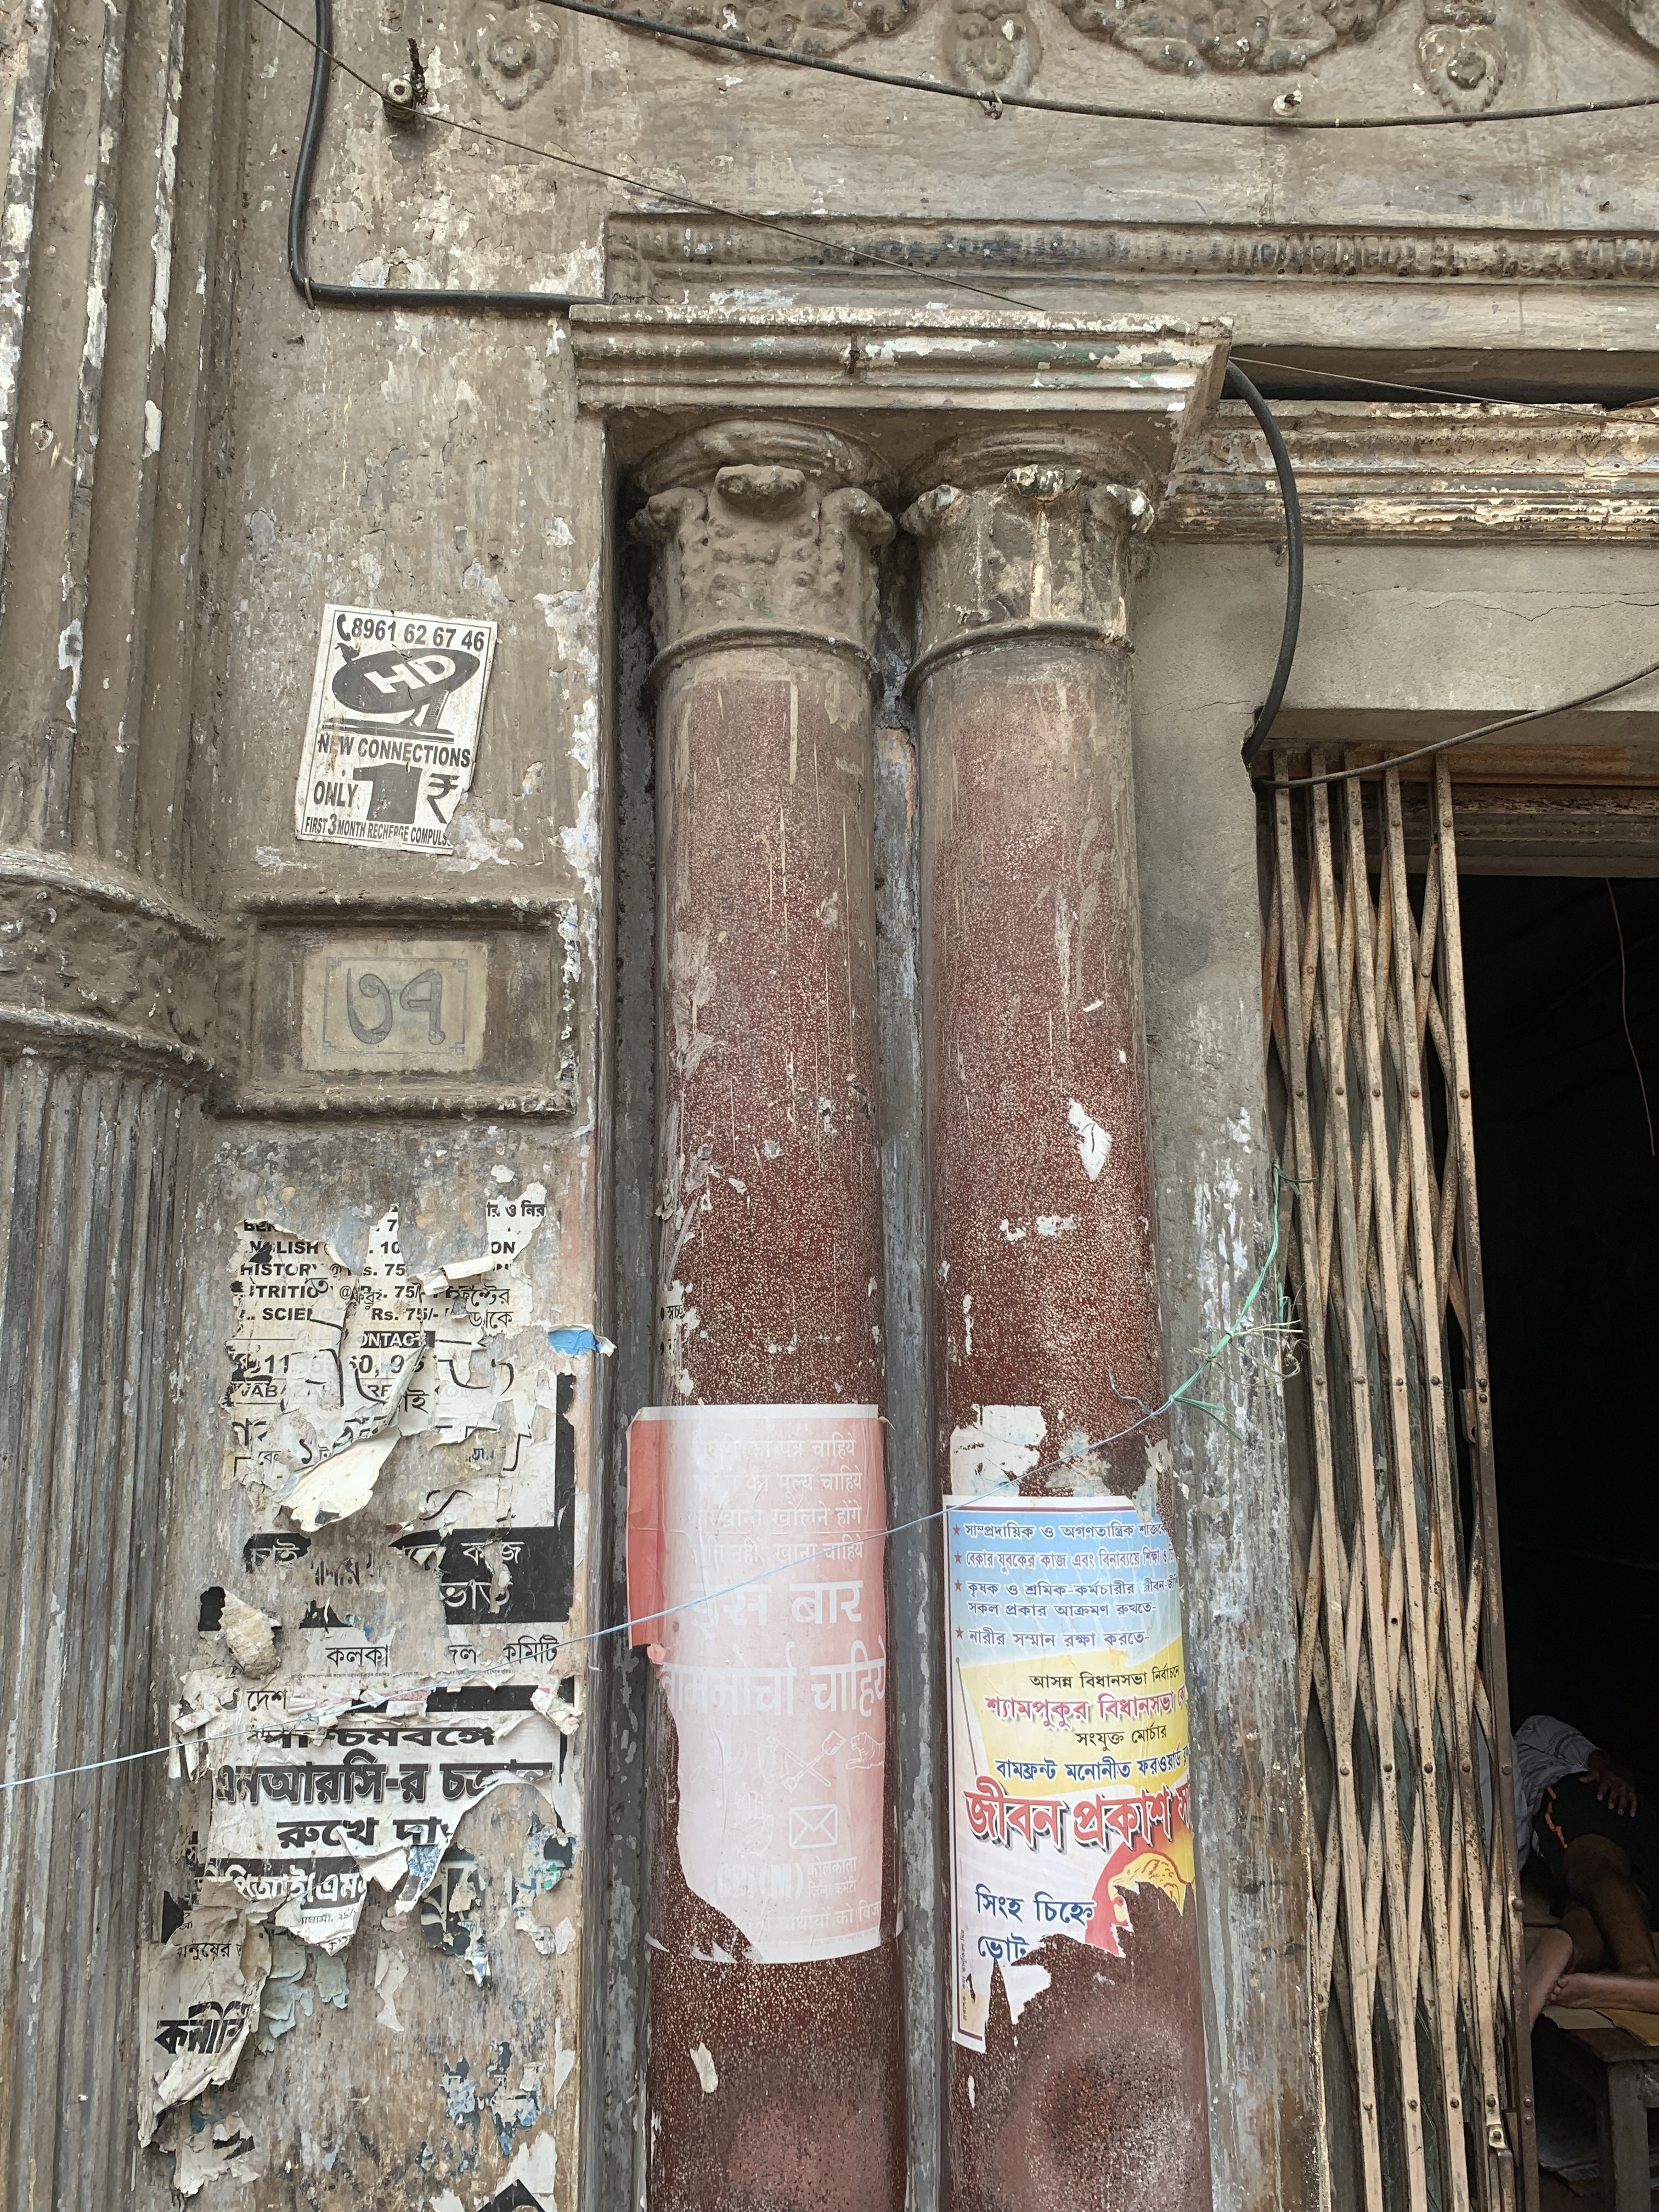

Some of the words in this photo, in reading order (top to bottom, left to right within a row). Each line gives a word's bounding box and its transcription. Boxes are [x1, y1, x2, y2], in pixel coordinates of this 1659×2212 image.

[313, 731, 356, 758] NEW
[356, 733, 476, 769] CONNECTIONS
[307, 777, 365, 811] ONLY
[962, 1517, 1039, 1542] সাম্প্রদায়িক
[1059, 1517, 1138, 1541] অগণতান্ত্রিক
[961, 1548, 997, 1572] বেকার
[994, 1549, 1039, 1578] যুবকের
[1034, 1550, 1071, 1571] কাজ
[1070, 1549, 1098, 1571] এবং
[1094, 1546, 1144, 1569] বিনাব্যয়ে
[966, 1578, 1005, 1601] কৃষক
[1002, 1579, 1019, 1599] ও
[1022, 1577, 1069, 1600] শ্রমিক
[1071, 1576, 1141, 1598] কর্মচারীর
[1136, 1572, 1167, 1600] জীবন-
[679, 1573, 775, 1637] इस
[785, 1578, 874, 1629] बार
[964, 1599, 1002, 1617] সকল
[1005, 1600, 1051, 1620] প্রকার
[1048, 1603, 1113, 1619] আক্রমণ
[1110, 1600, 1159, 1618] রুখতে-
[319, 1637, 396, 1677] কলকা
[503, 1629, 566, 1668] কমিটি
[967, 1623, 1009, 1649] নারীর
[1009, 1629, 1058, 1652] সম্মান
[1057, 1629, 1100, 1650] রক্ষা
[1103, 1628, 1152, 1649] করতে-
[656, 1639, 801, 1723] वाममोर्चा
[805, 1633, 896, 1722] चाहिये
[1025, 1670, 1075, 1690] আসন্ন
[1077, 1666, 1150, 1690] বিধানসভা
[1147, 1663, 1186, 1686] নির্বাচনে
[980, 1694, 1090, 1735] শ্যামপুকুর
[1088, 1685, 1180, 1719] বিধানসভা
[1071, 1728, 1128, 1755] সংযুক্ত
[1127, 1720, 1171, 1746] মোর্চার
[210, 1743, 434, 1806] এনআরসি-র
[990, 1755, 1060, 1781] বামফ্রন্ট
[1062, 1755, 1136, 1783] মনোনীত
[1136, 1740, 1188, 1779] ফরওয়ার্ড
[276, 1812, 386, 1852] রুখে
[960, 1772, 1069, 1855] জীবন
[1071, 1786, 1177, 1854] প্রকাশ
[970, 1878, 1029, 1926] সিংহ
[1022, 1884, 1106, 1932] চিহ্নে
[172, 1940, 234, 1967] গনুষের
[969, 1931, 1033, 1965] ভোট